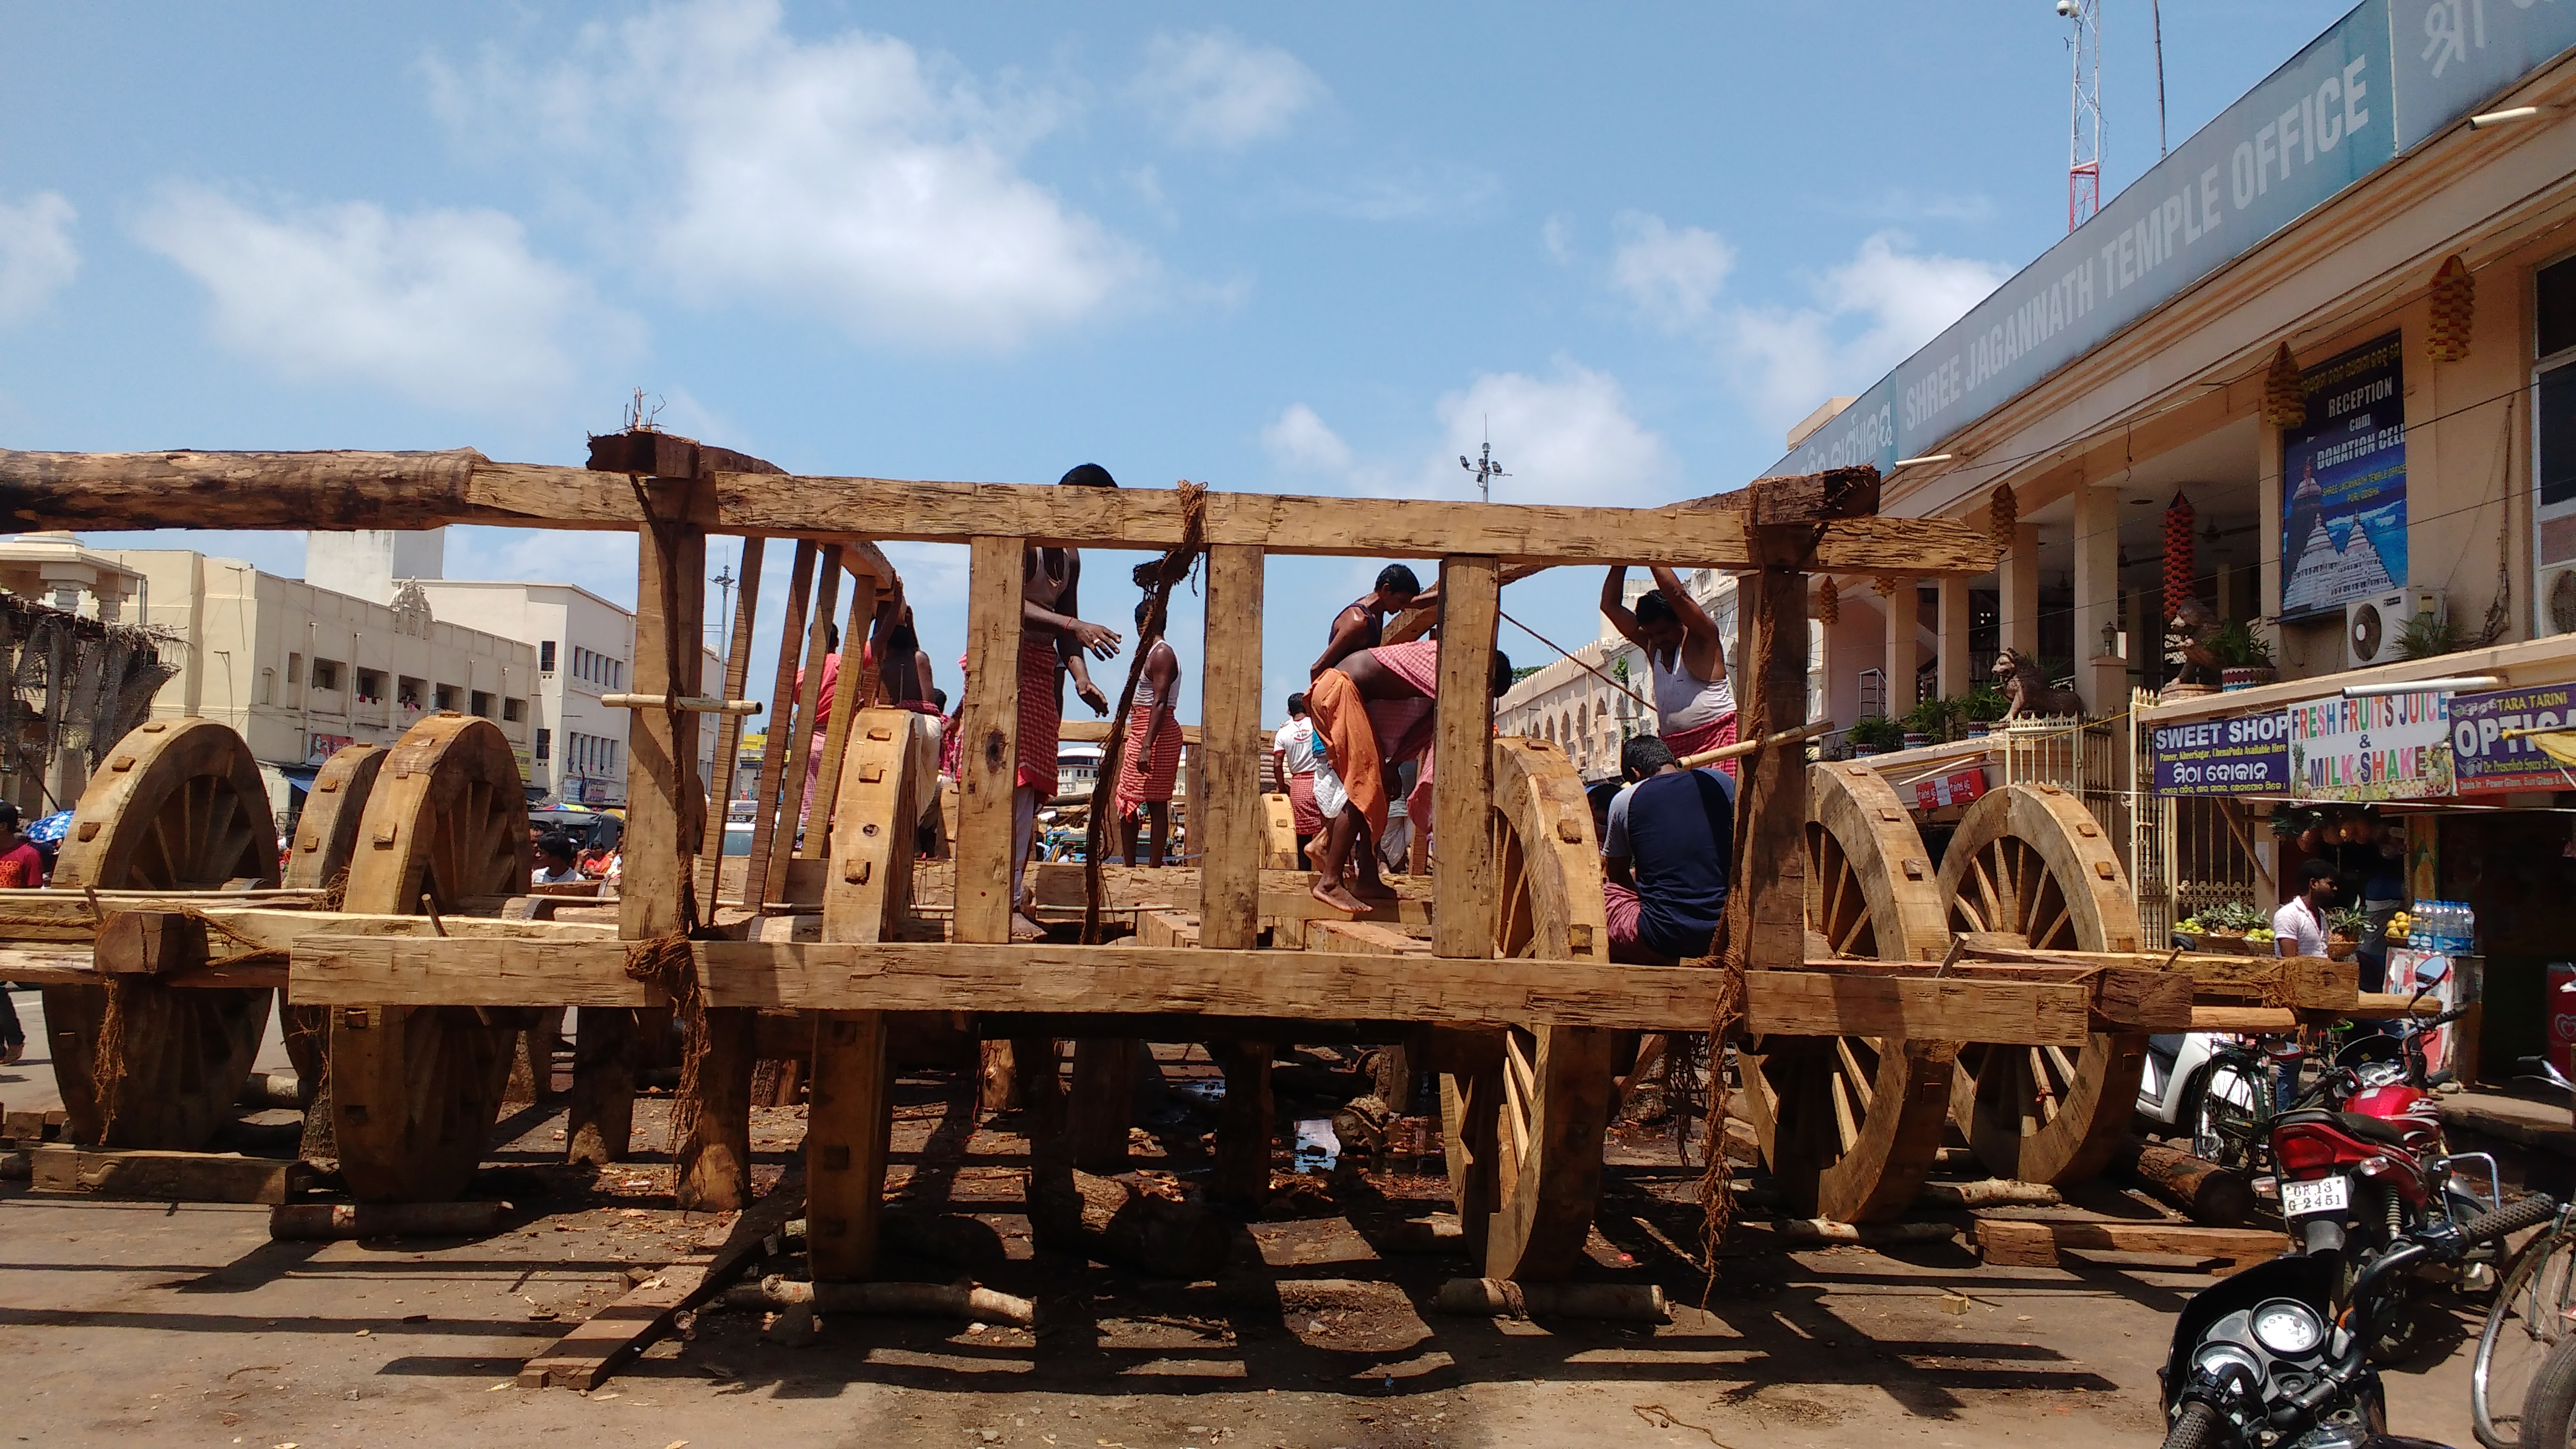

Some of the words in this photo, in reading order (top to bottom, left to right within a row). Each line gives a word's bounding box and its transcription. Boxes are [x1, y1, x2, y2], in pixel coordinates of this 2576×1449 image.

[2409, 0, 2495, 79] श्रा
[2228, 50, 2372, 218] OFFICE
[2099, 159, 2225, 307] TEMPLE
[1964, 252, 2097, 397] JAGANNATH
[1900, 350, 1965, 436] SHREE
[2326, 373, 2395, 422] RECEPTION
[2312, 430, 2380, 475] DONATION
[2346, 410, 2374, 435] cum
[2375, 421, 2409, 451] CELL
[2153, 721, 2224, 755] SWEET
[2222, 709, 2297, 746] SHOP
[2288, 702, 2339, 742] FRESH
[2355, 730, 2375, 752] &
[2338, 693, 2396, 736] FRUITS
[2398, 689, 2450, 729] JUICE
[2493, 692, 2528, 714] TARA
[2525, 687, 2569, 711] TARINI
[2169, 755, 2205, 787] ମିଠା
[2203, 759, 2271, 786] ଦୋକାନ
[2308, 751, 2358, 791] MILK
[2357, 744, 2429, 788] SHAKE